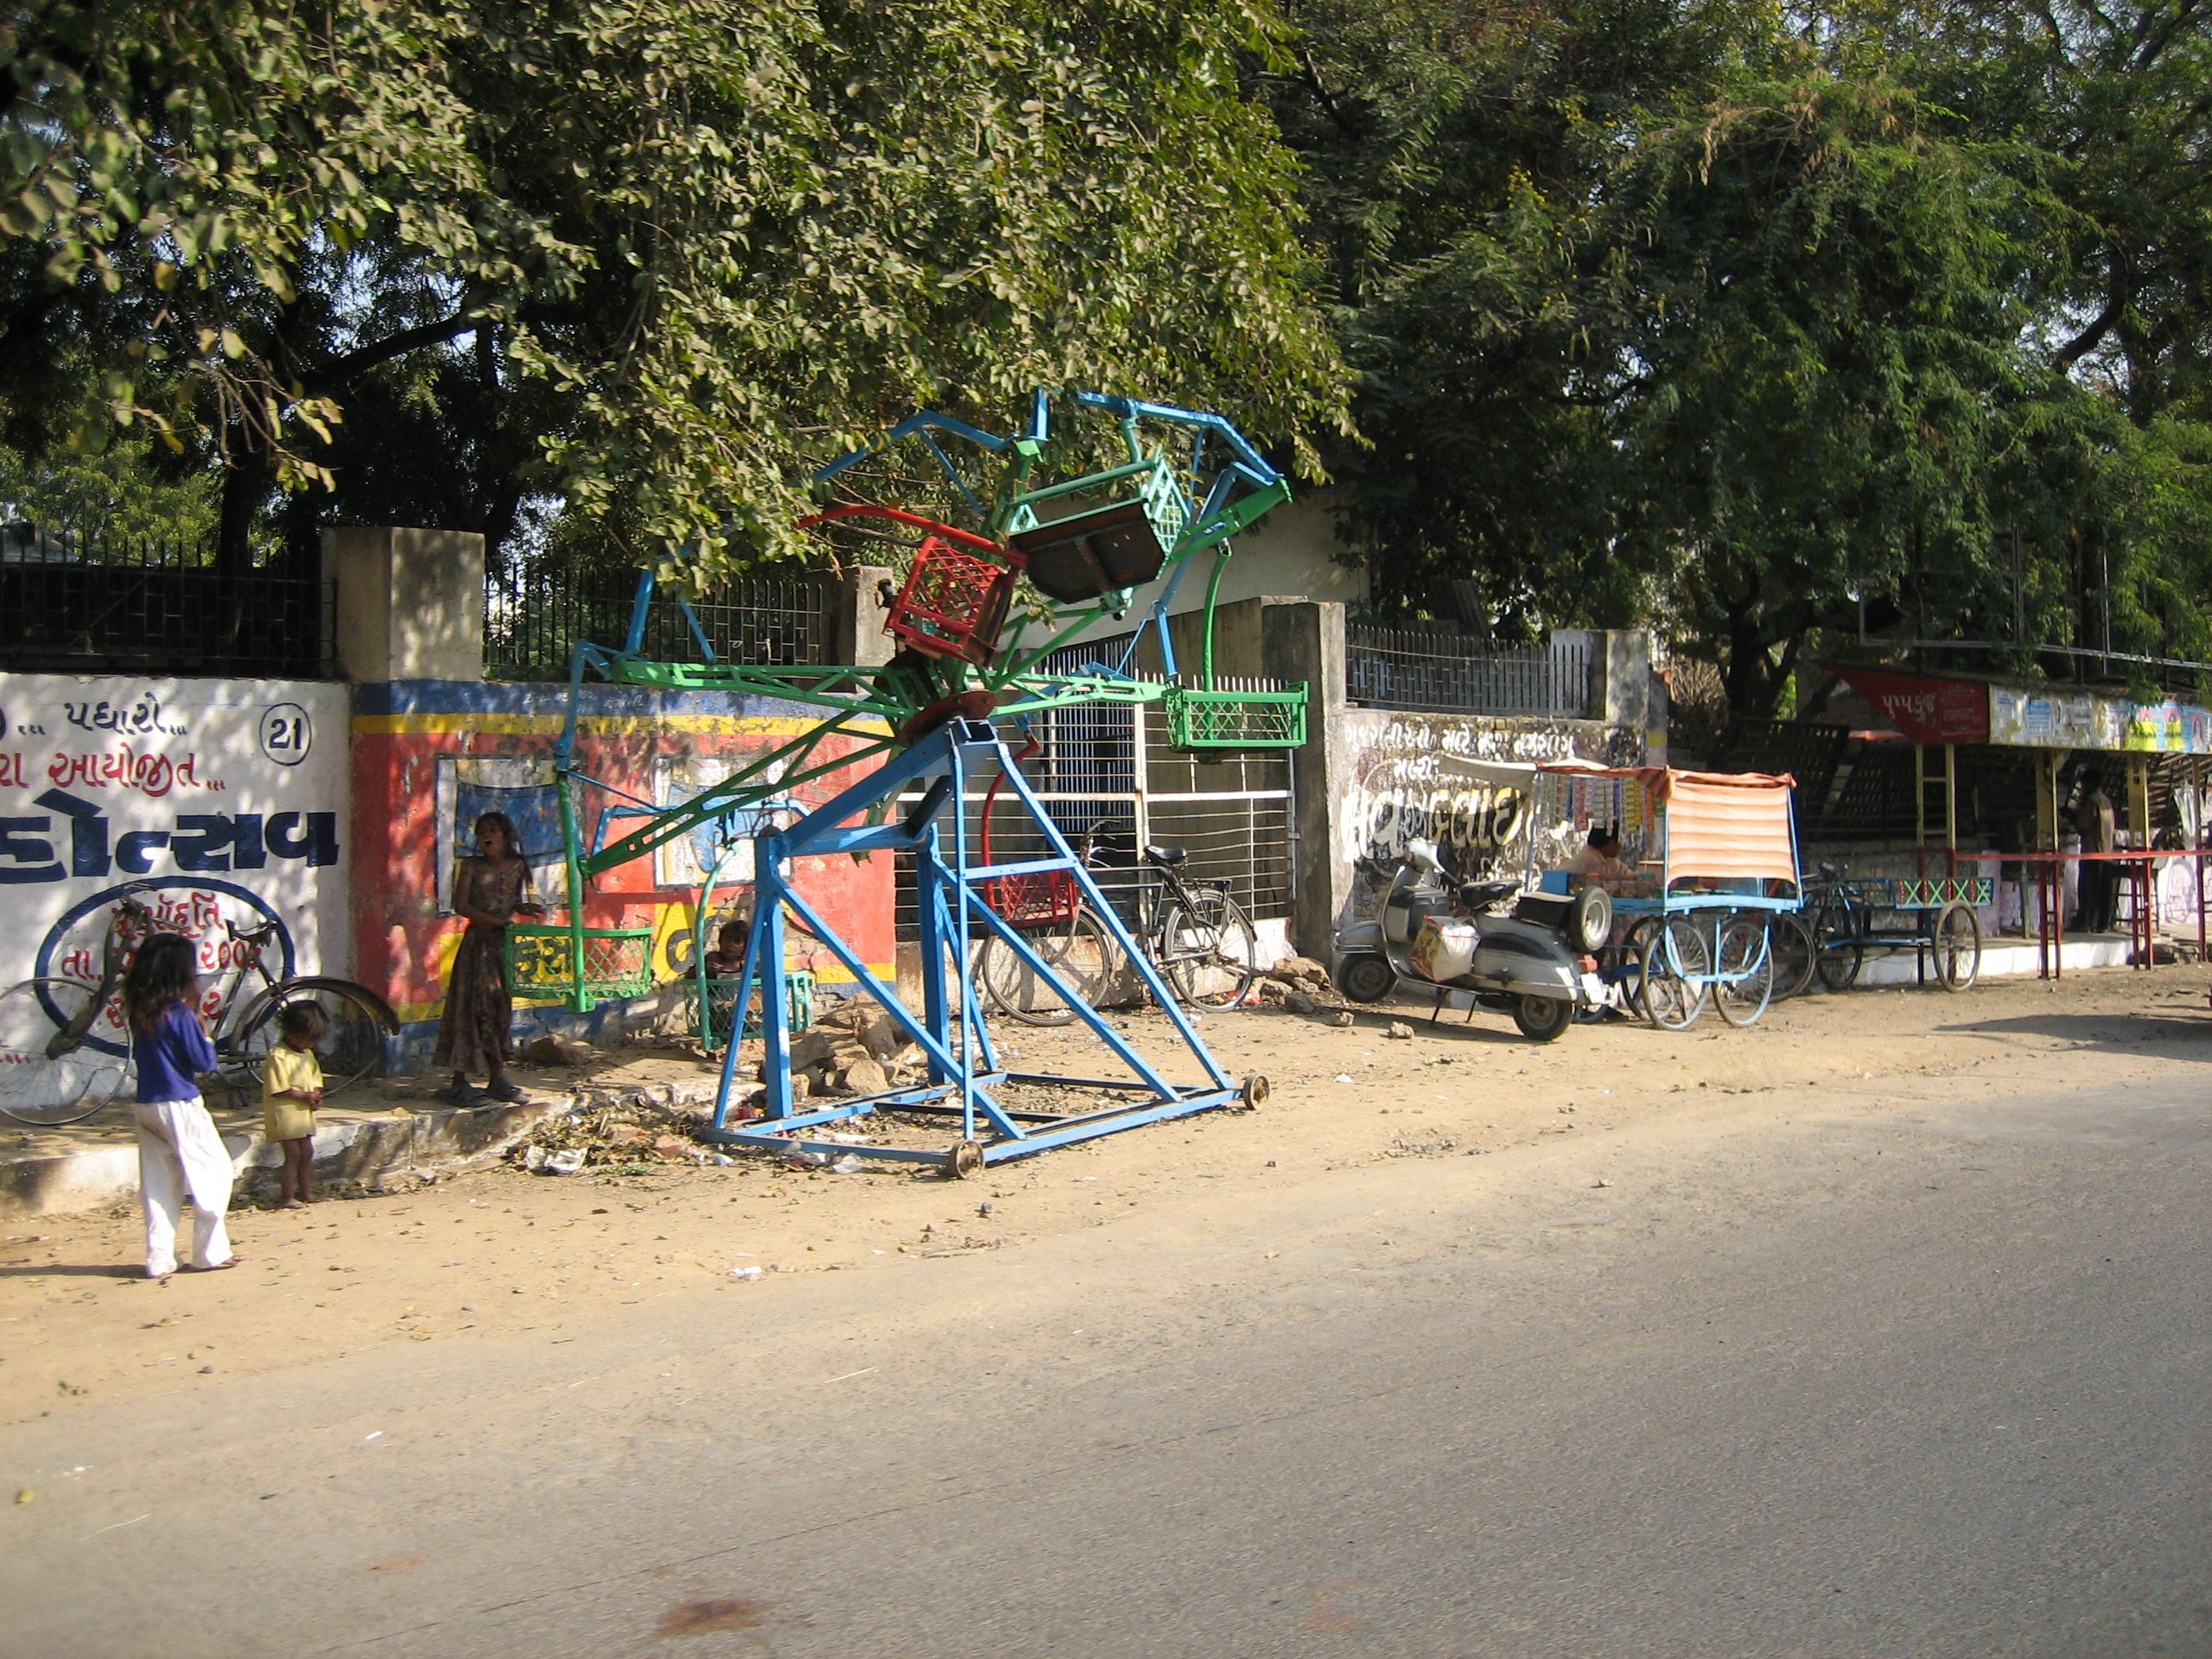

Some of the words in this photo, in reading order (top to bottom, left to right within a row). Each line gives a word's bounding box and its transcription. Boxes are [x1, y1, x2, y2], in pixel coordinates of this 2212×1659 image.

[61, 695, 125, 732] પ્ણ
[40, 739, 205, 795] આયોજીત
[14, 802, 328, 876] કોત્સવ